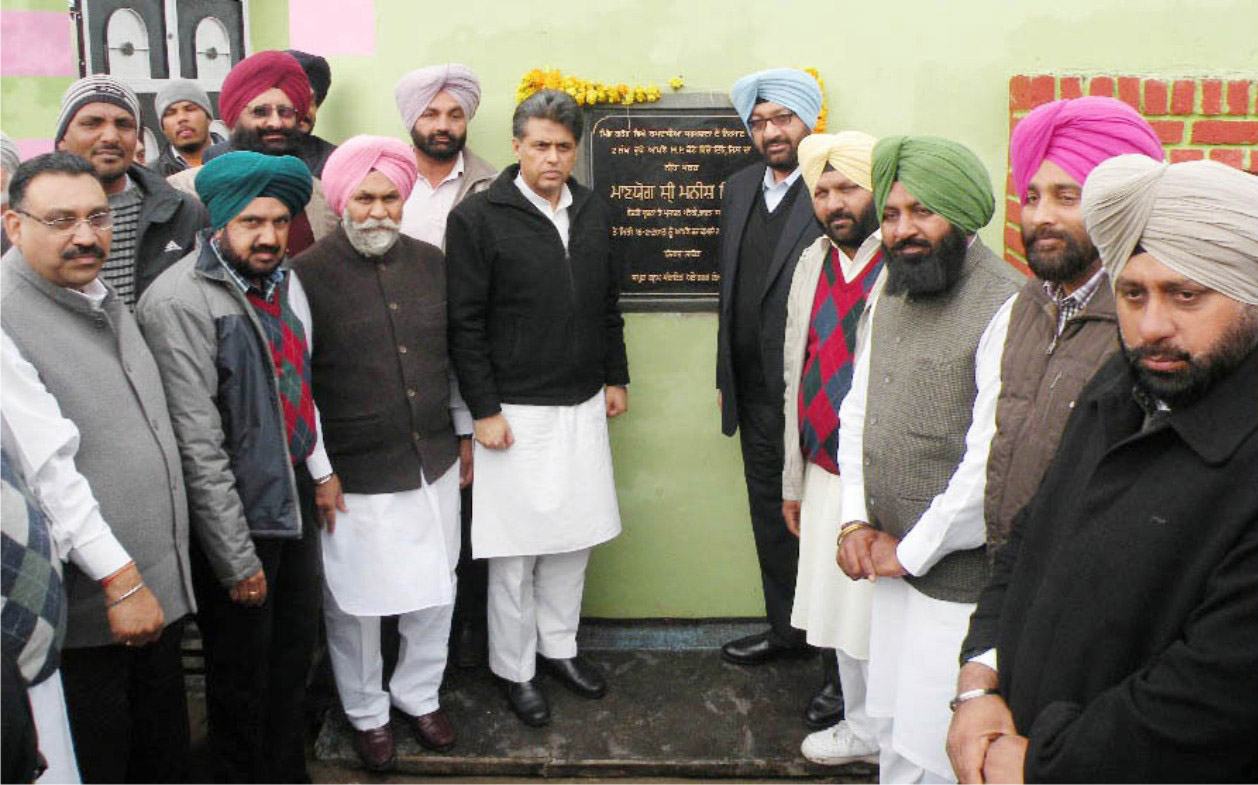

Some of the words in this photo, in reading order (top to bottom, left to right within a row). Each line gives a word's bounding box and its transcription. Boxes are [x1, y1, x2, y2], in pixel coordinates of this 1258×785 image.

[603, 177, 657, 206] ਮਾਣਯੋਗ
[656, 176, 679, 205] ਸ਼੍ਰੀ
[677, 177, 717, 203] ਮਨੀਸ਼